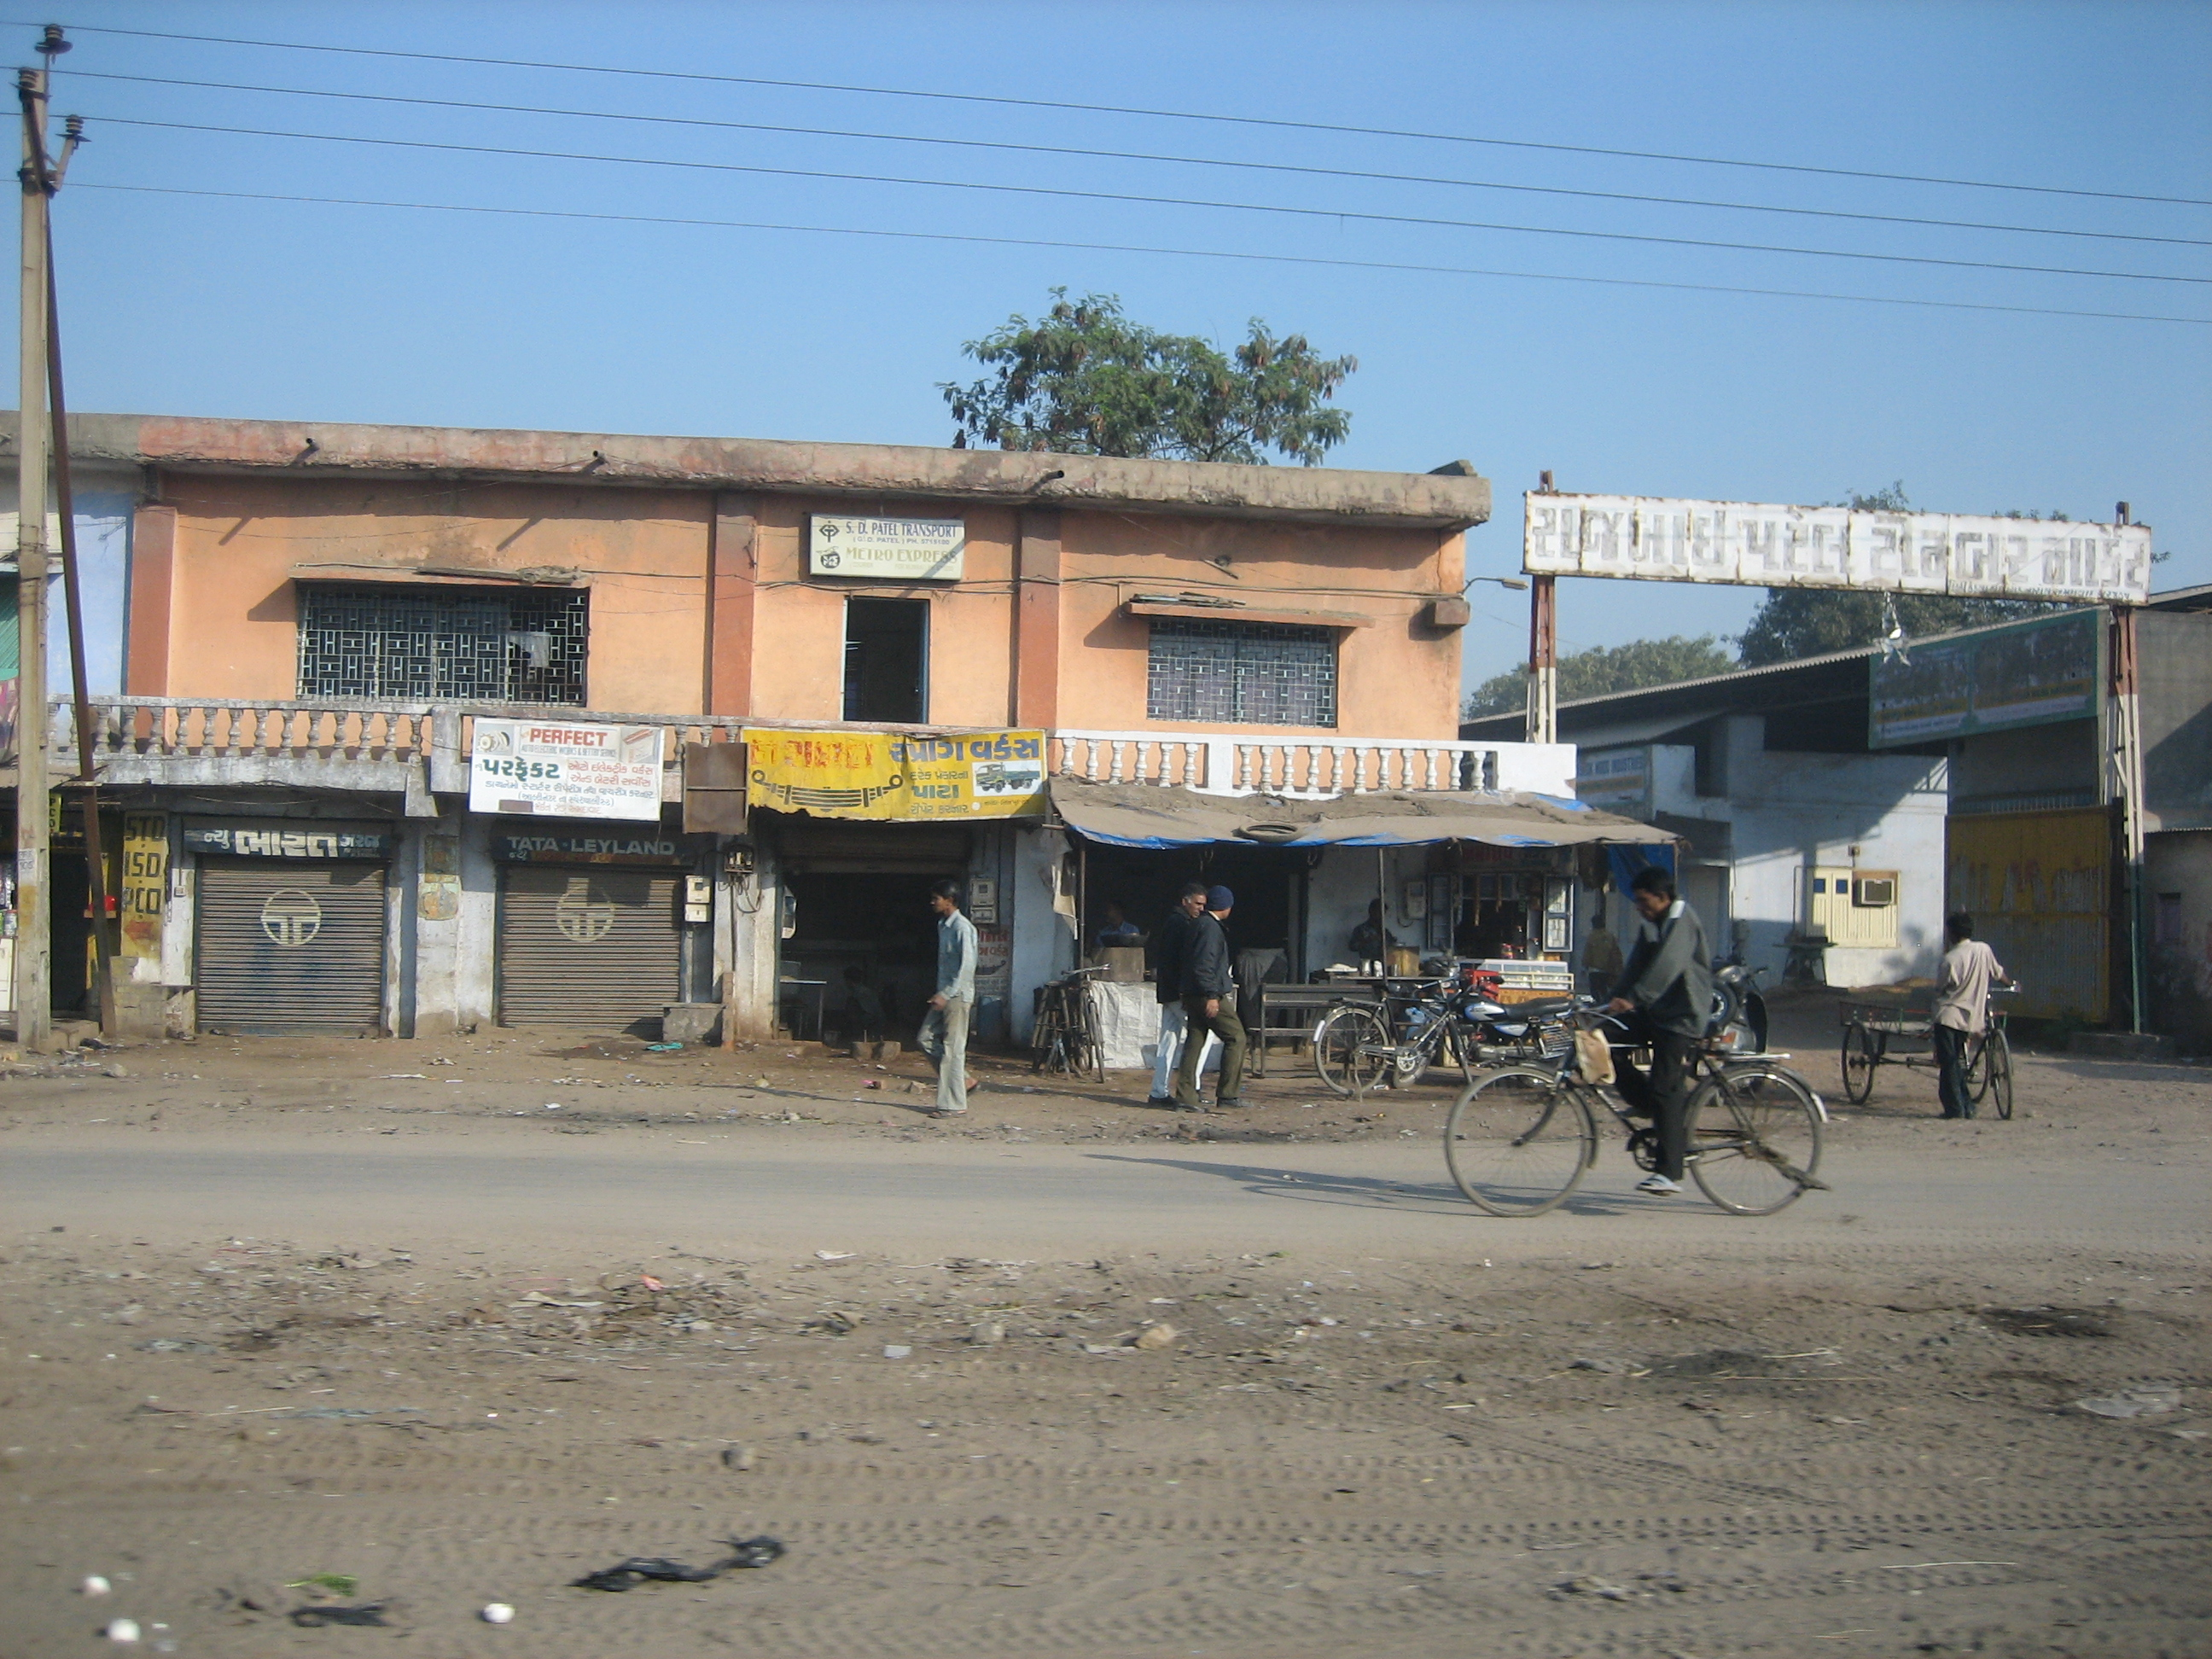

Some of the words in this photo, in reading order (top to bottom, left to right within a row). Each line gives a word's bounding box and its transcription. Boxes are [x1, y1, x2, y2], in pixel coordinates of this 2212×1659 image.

[357, 721, 426, 739] સરાવર
[528, 724, 611, 751] PERFECT
[481, 755, 557, 783] પરફેકટ
[890, 735, 1200, 780] પ્રાગ વર્કસ